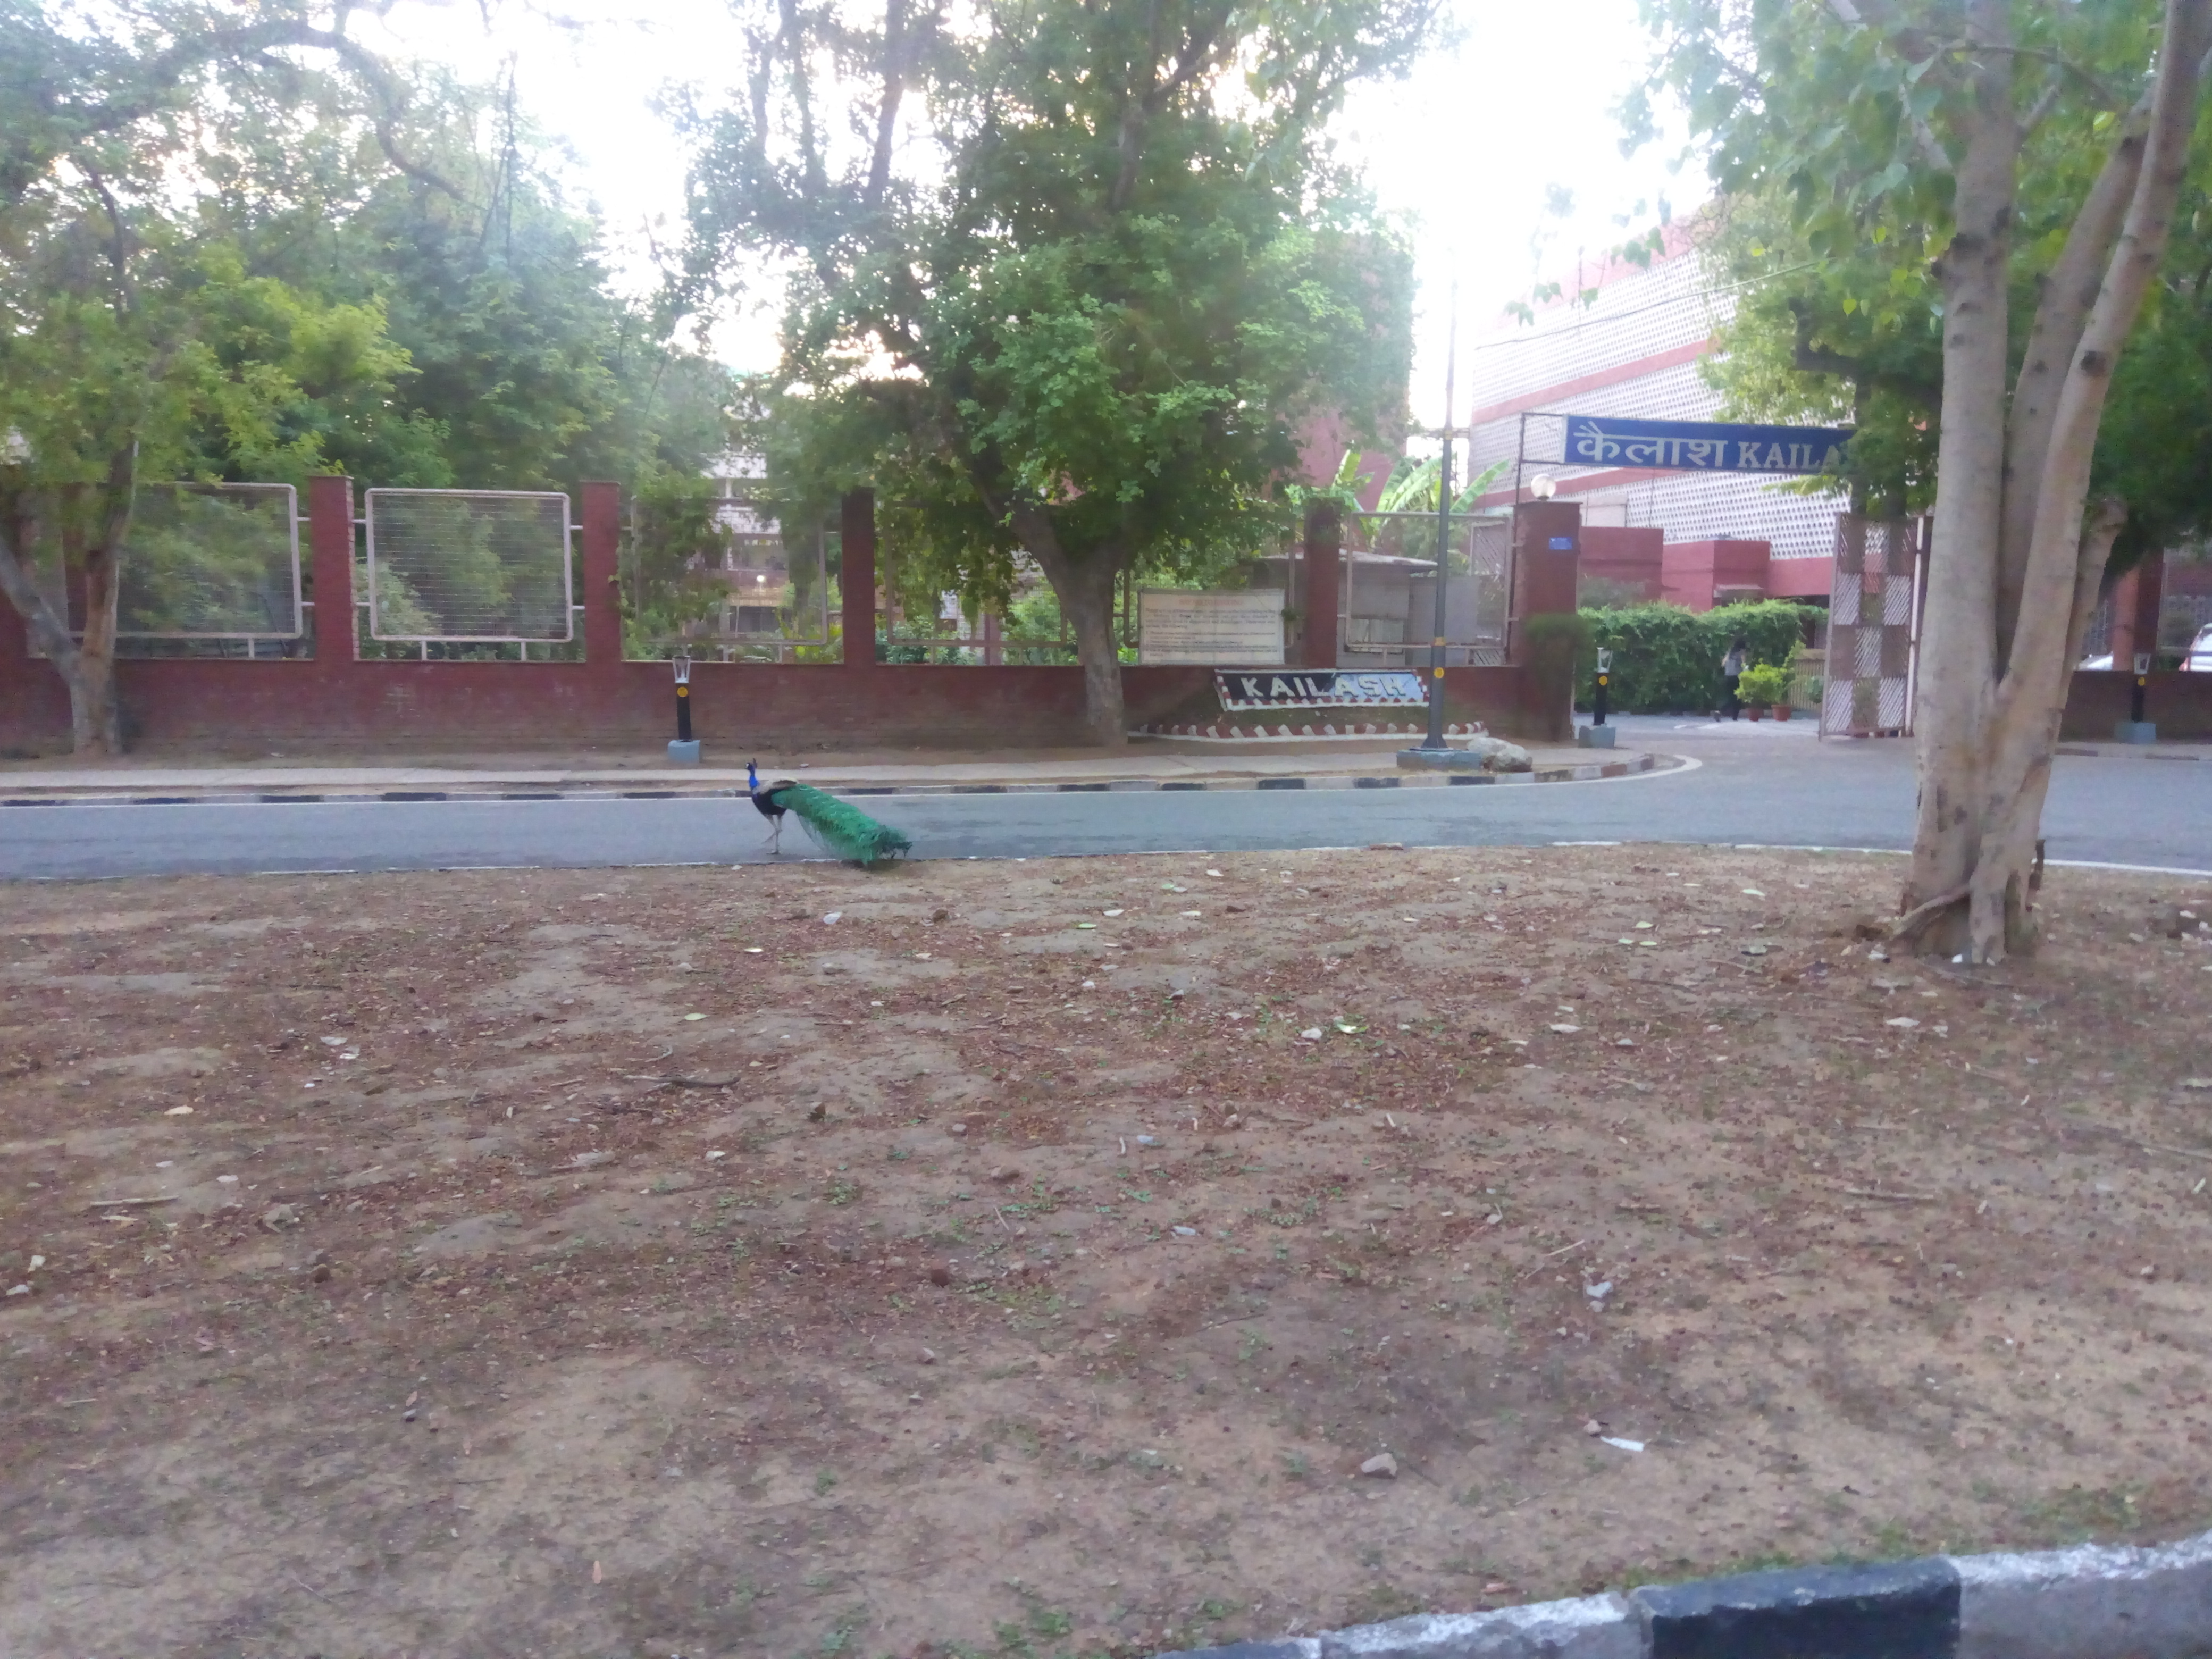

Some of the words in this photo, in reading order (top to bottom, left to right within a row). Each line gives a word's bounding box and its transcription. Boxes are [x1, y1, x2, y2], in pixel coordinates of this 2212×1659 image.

[1572, 420, 1728, 469] कैलाश
[1736, 440, 1821, 470] KAIL
[1239, 666, 1407, 700] KAILASH